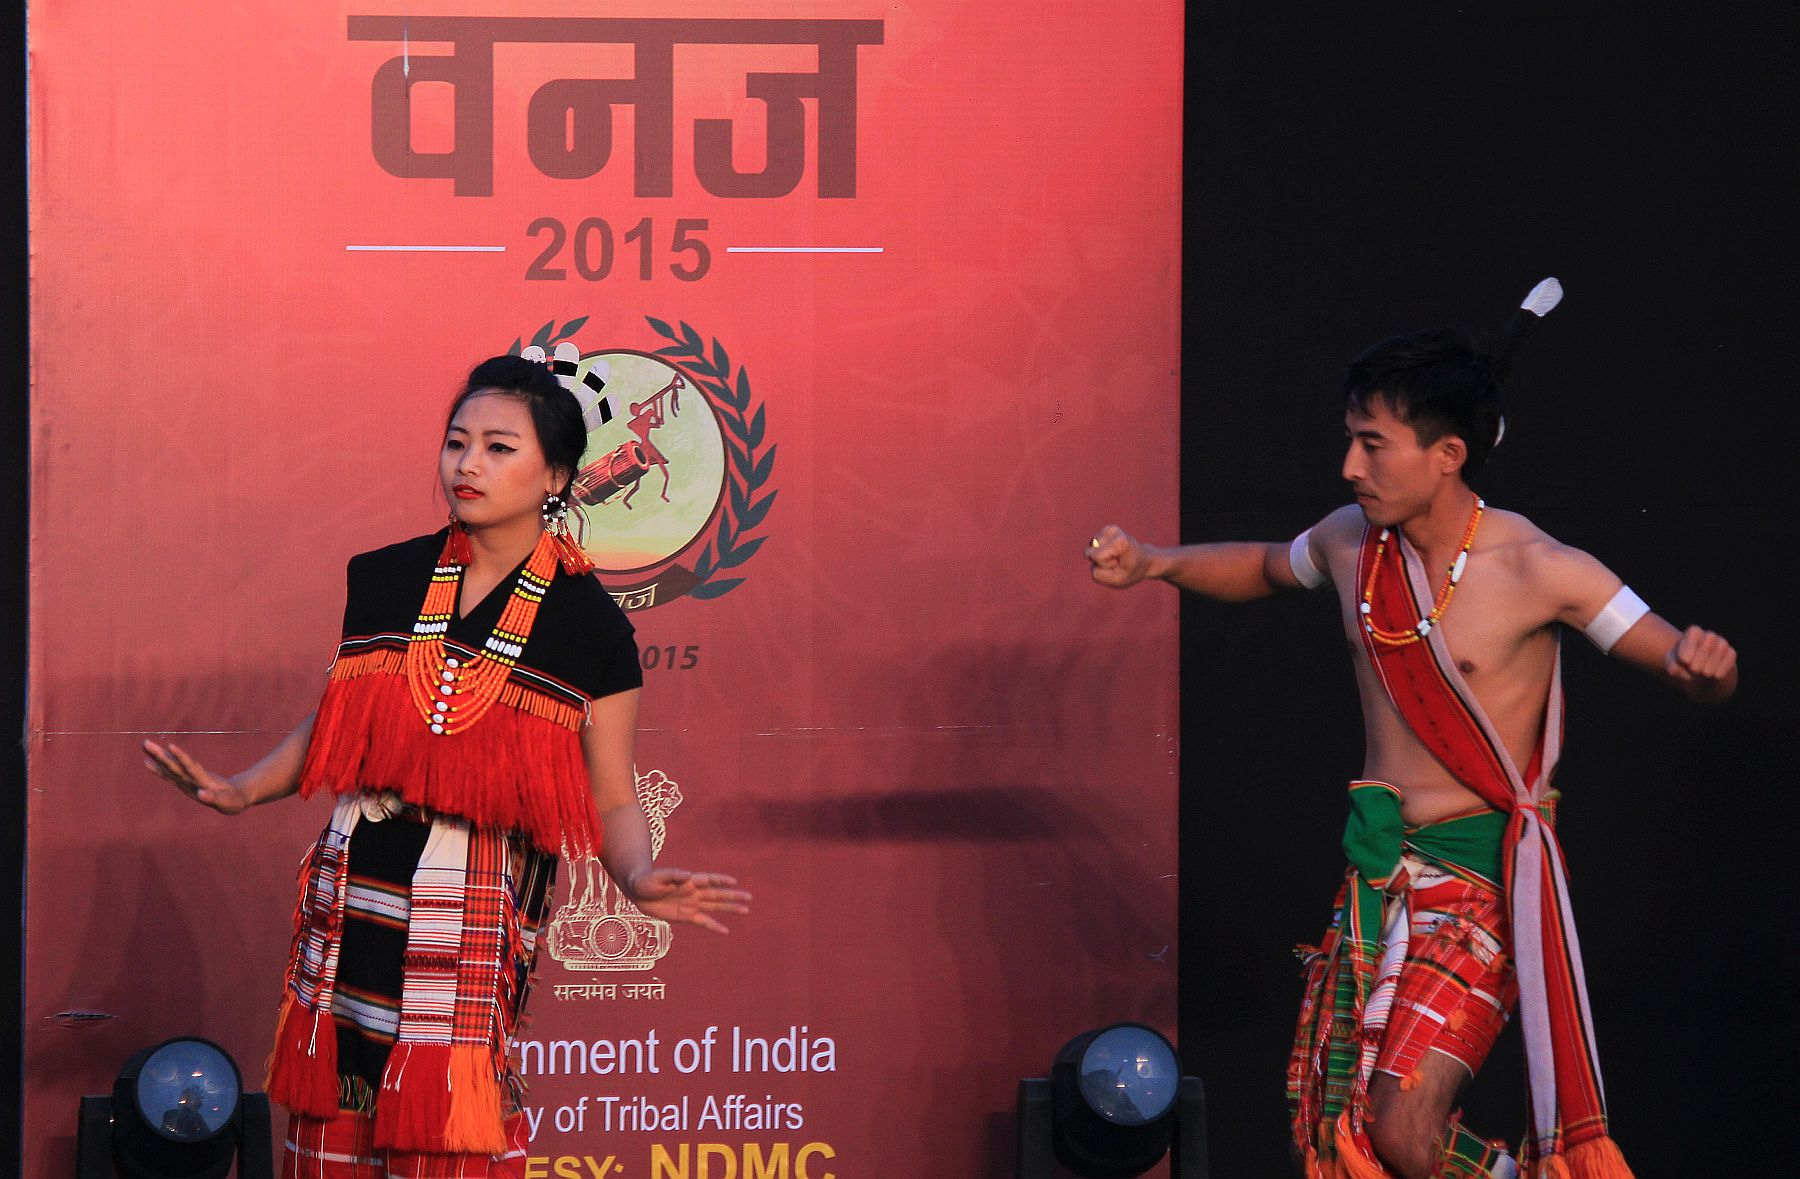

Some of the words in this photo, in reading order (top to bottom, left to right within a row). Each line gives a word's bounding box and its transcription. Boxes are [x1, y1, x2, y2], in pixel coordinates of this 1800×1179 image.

[342, 11, 891, 199] वनज
[514, 211, 716, 288] 2015
[634, 631, 705, 678] 015
[551, 968, 621, 1005] सत्यमेव
[619, 972, 672, 1006] जयते
[507, 1021, 665, 1079] nment
[666, 1020, 723, 1081] of
[729, 1021, 840, 1077] India
[548, 1085, 593, 1137] of
[594, 1089, 691, 1135] Tribal
[693, 1089, 807, 1135] Affairs
[648, 1134, 841, 1178] NDMC